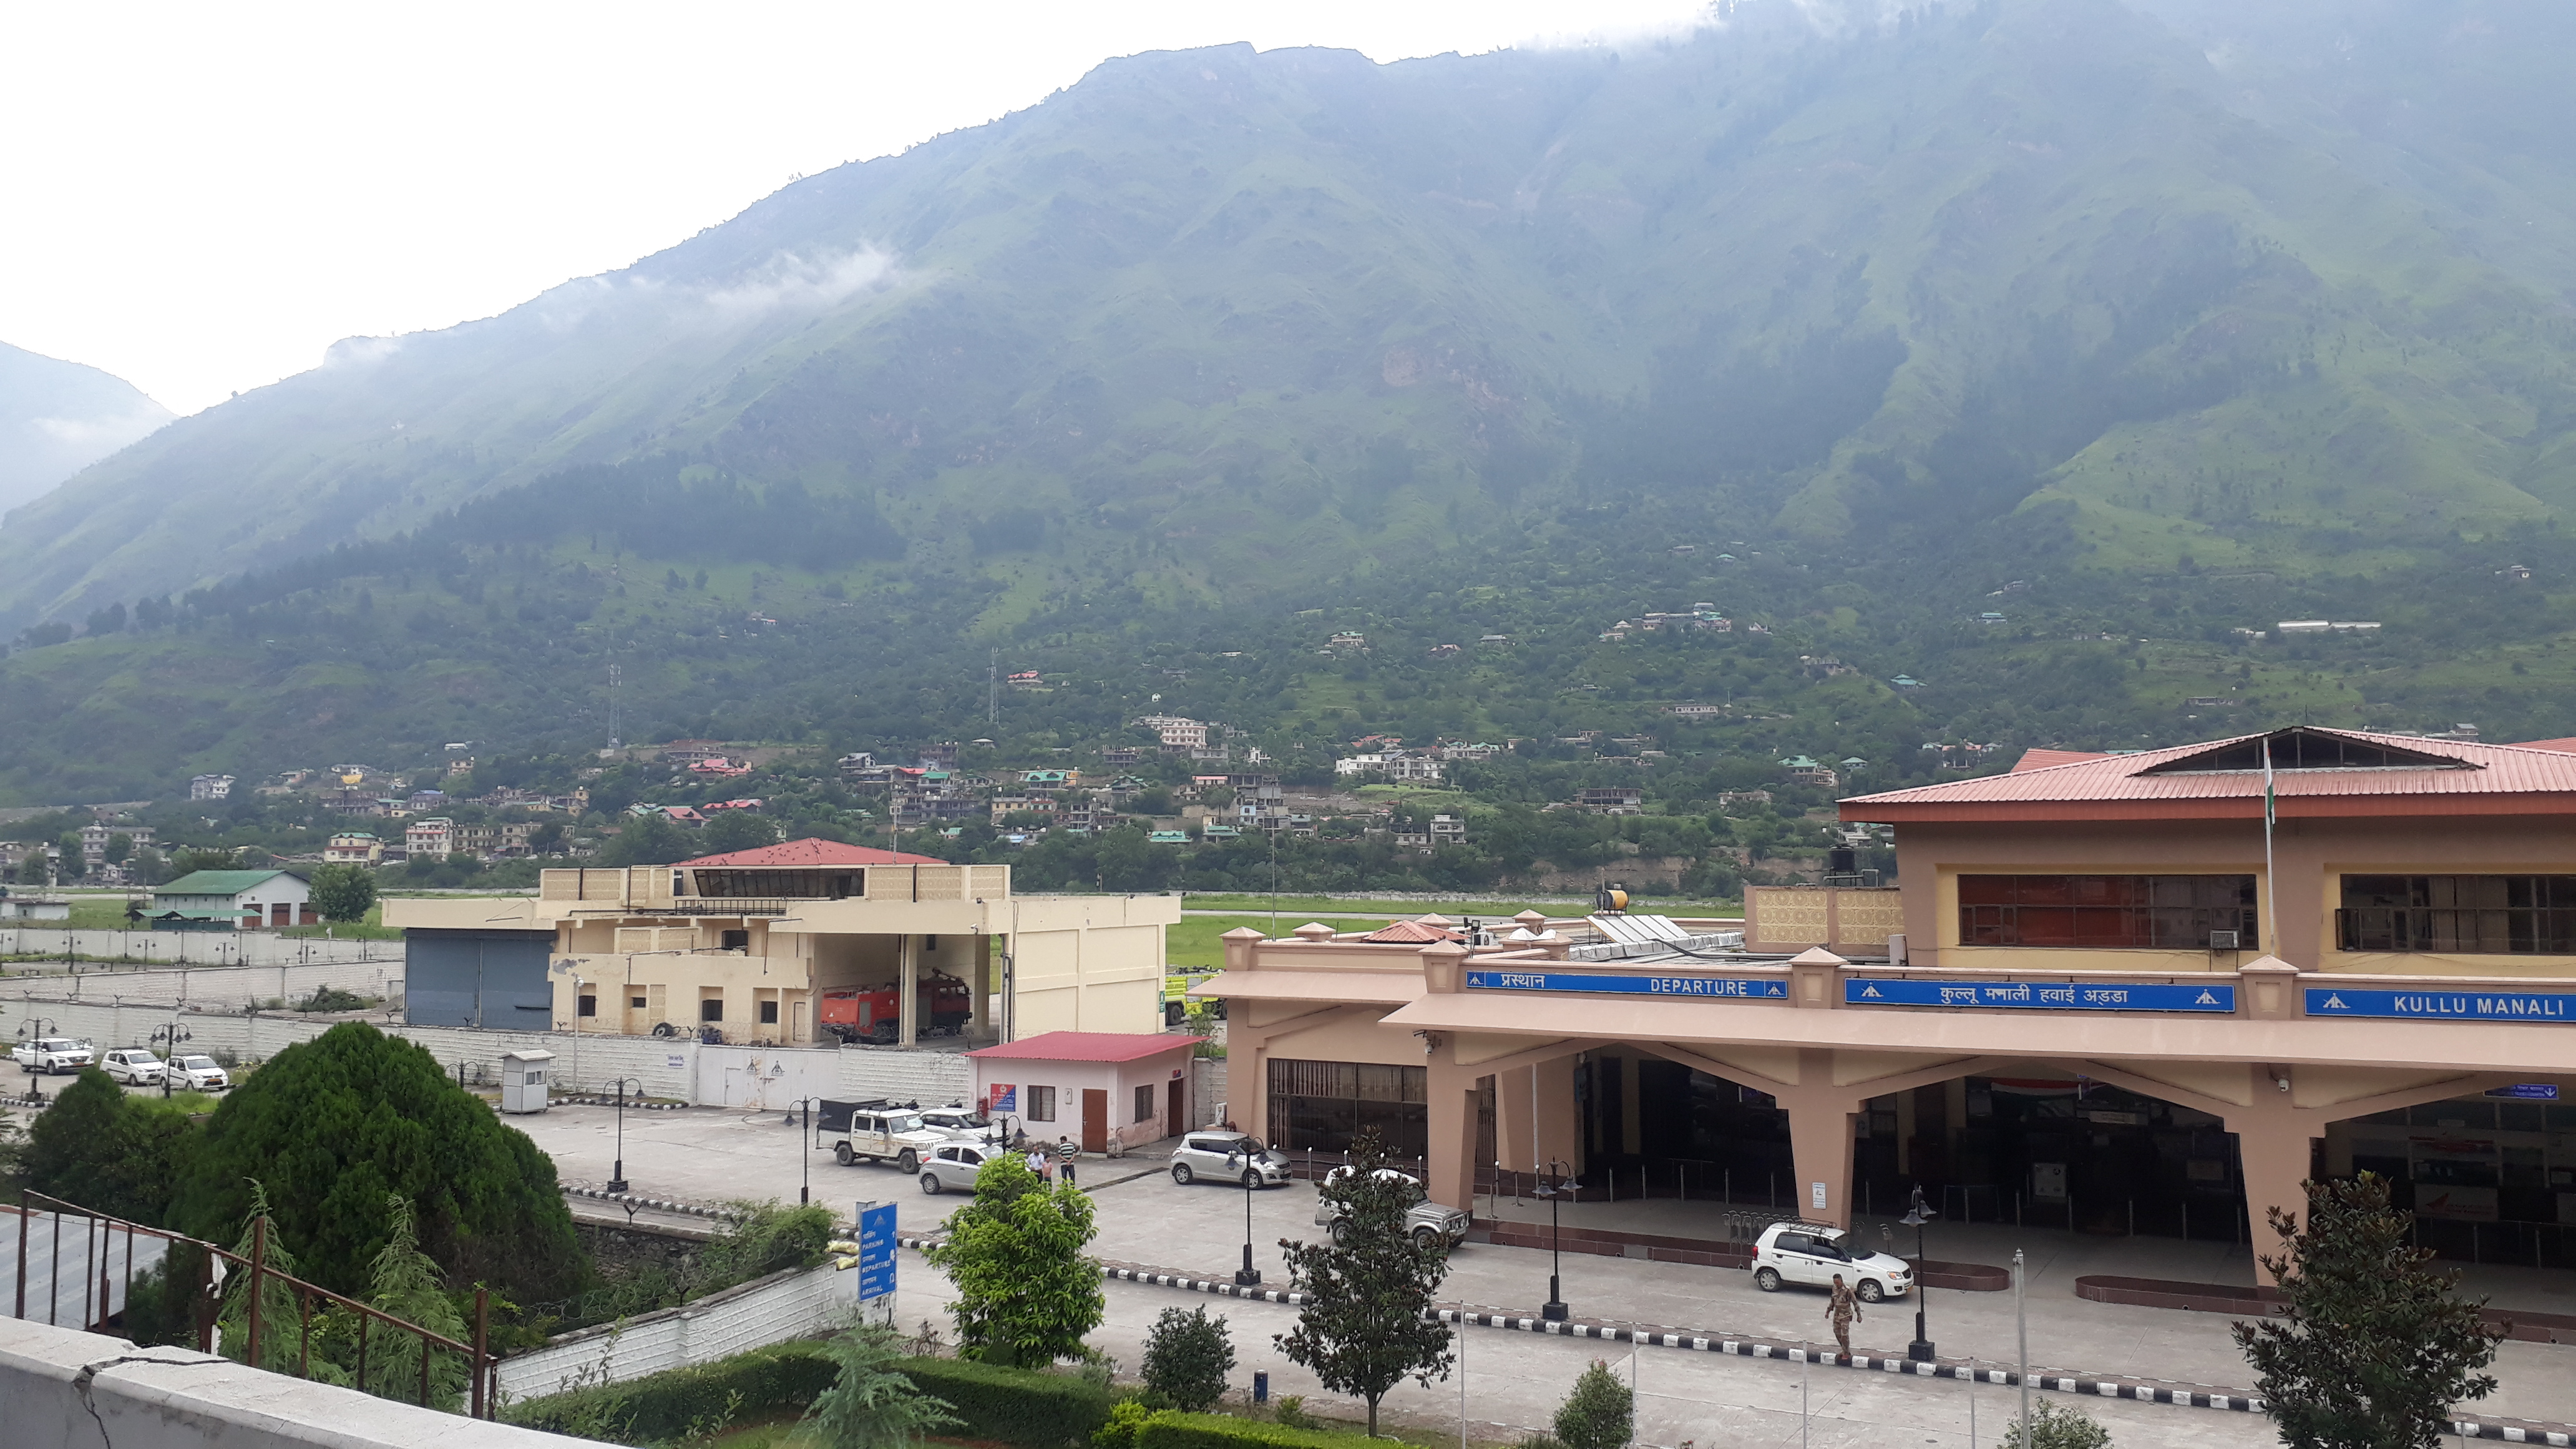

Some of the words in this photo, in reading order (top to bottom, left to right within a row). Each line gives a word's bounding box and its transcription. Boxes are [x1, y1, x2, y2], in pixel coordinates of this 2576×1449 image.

[1500, 971, 1546, 990] प्रस्‍थान
[1649, 977, 1748, 997] DEPARTURE
[1937, 985, 1981, 1005] कुल्लू
[1985, 979, 2032, 1003] मनाली
[2037, 982, 2077, 1005] हवाई
[2083, 987, 2129, 1008] अड़डा
[2393, 993, 2467, 1015] KULLU
[2475, 997, 2565, 1017] MANALI